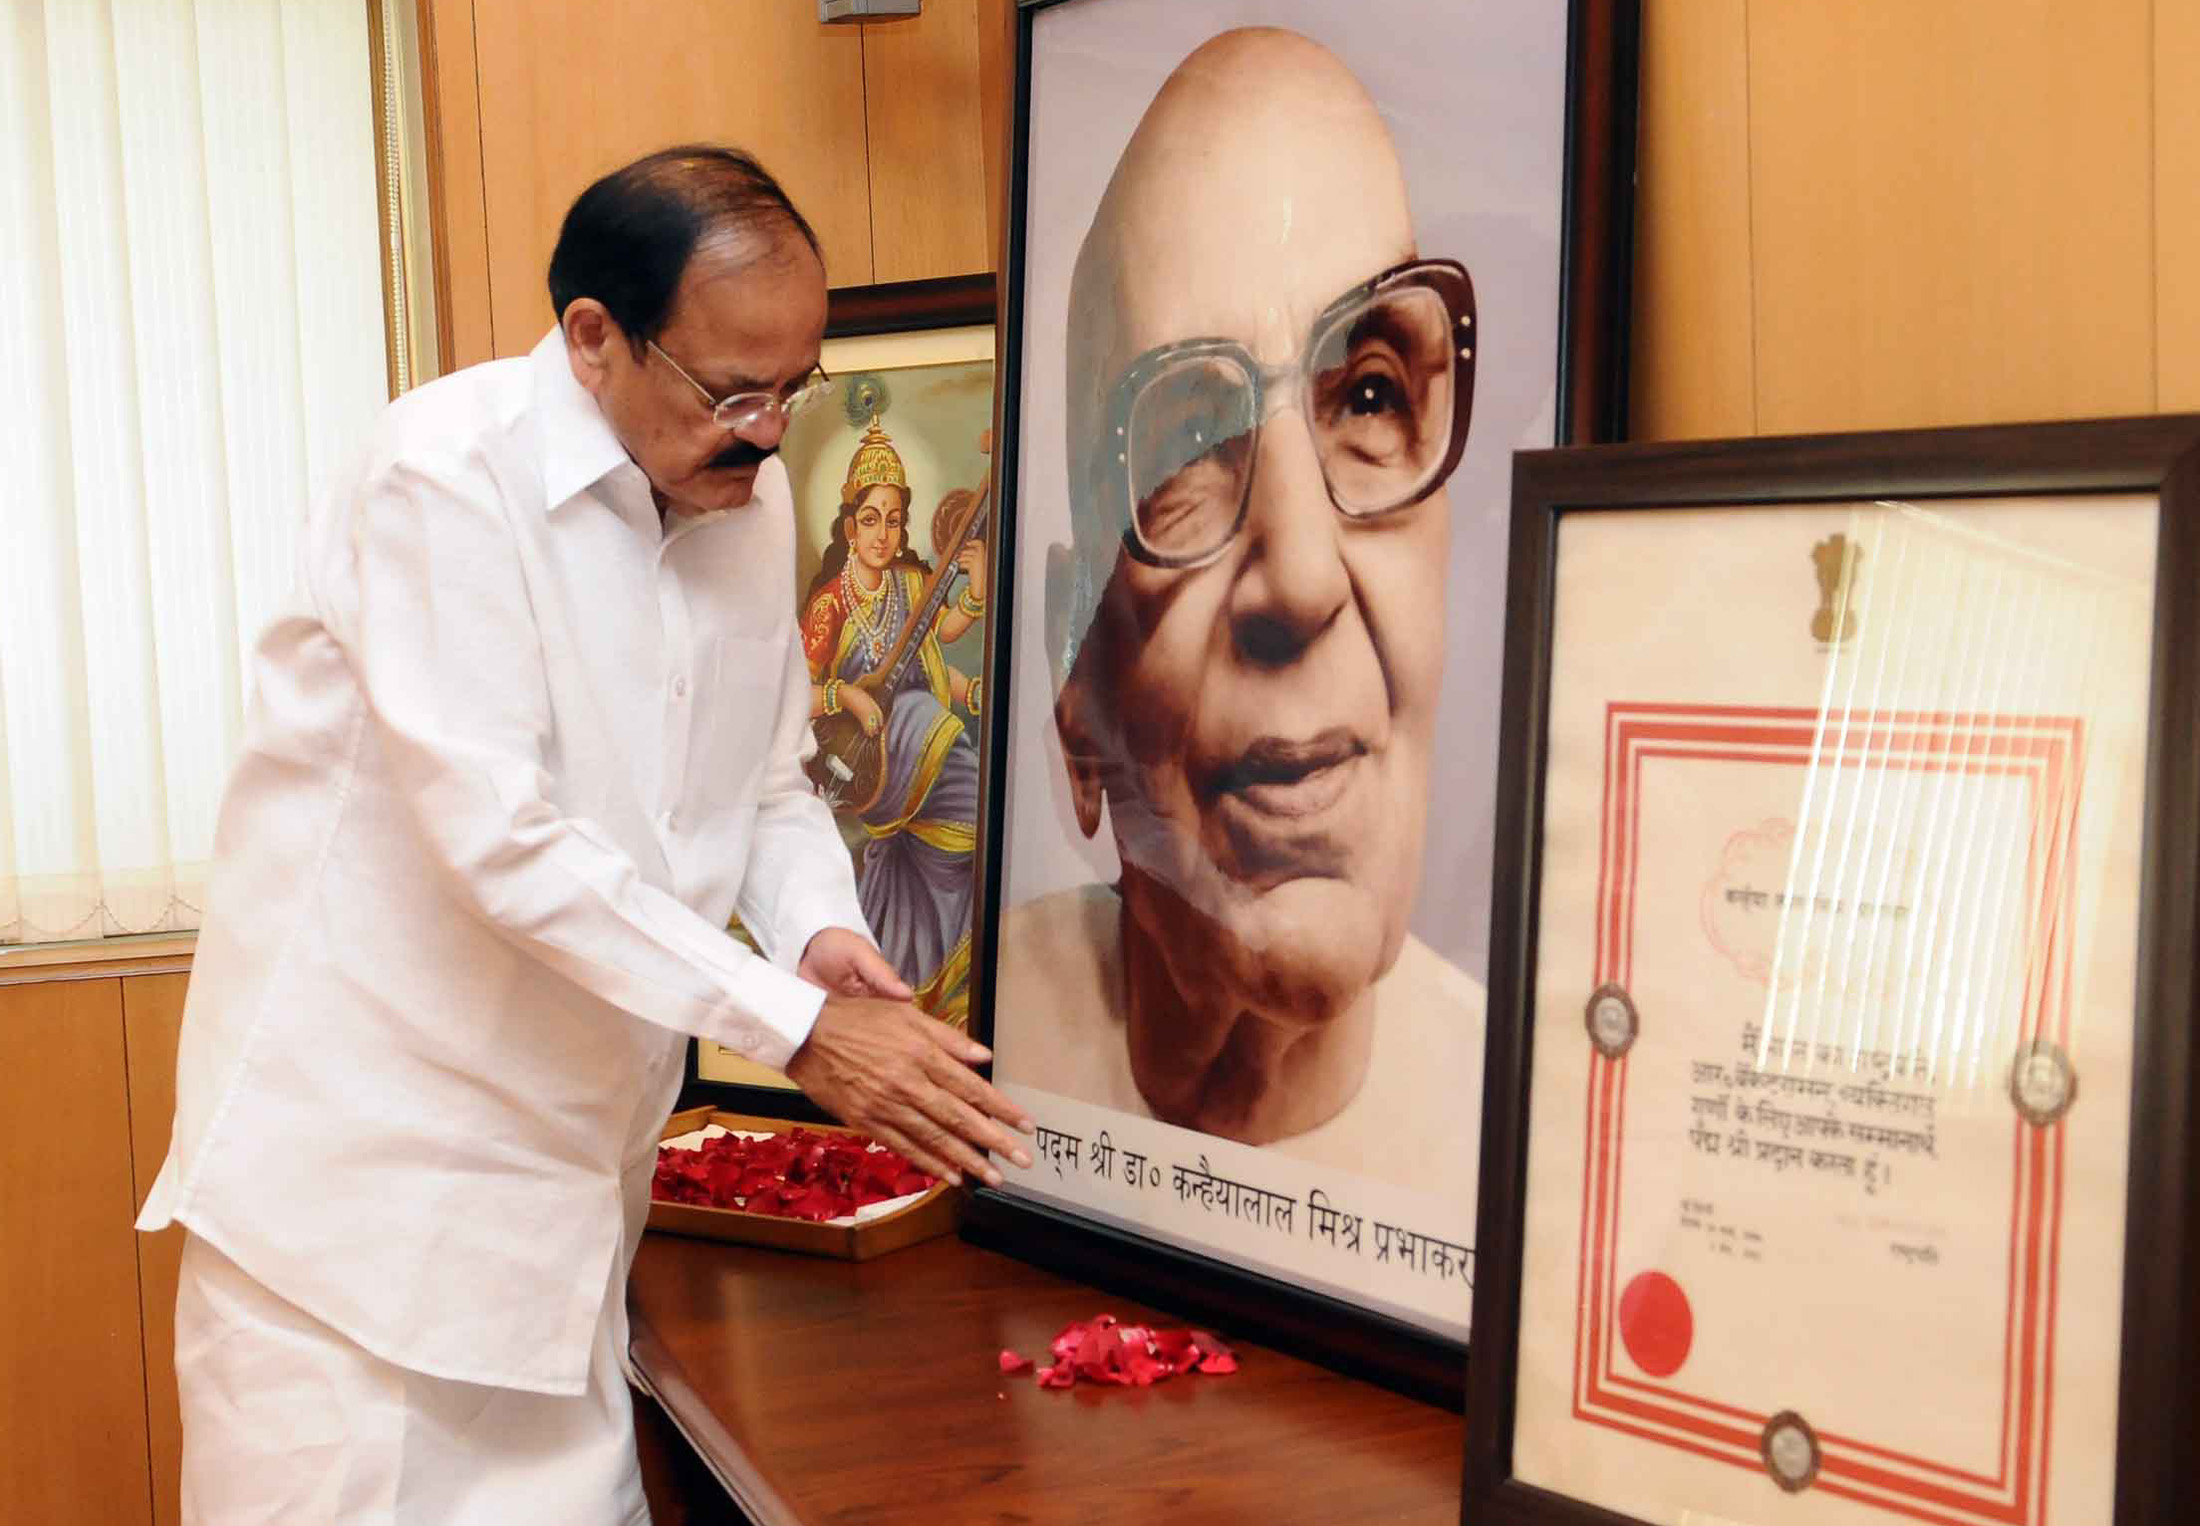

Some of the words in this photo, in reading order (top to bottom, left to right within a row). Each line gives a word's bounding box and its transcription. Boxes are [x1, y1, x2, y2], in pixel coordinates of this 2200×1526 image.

[1033, 1125, 1082, 1183] पद्म
[1089, 1125, 1118, 1181] श्री
[1121, 1148, 1163, 1194] डा॰
[1170, 1150, 1298, 1237] कन्हैयालाल
[1305, 1182, 1367, 1253] मिश्र
[1374, 1219, 1474, 1290] प्रभाकर